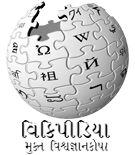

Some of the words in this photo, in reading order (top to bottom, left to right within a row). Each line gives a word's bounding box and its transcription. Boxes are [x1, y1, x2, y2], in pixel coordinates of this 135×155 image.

[15, 115, 115, 140] વિકિપીડિયા
[24, 140, 45, 154] મુકત
[50, 139, 109, 153] વિશ્વજ્ઞાનકોપા